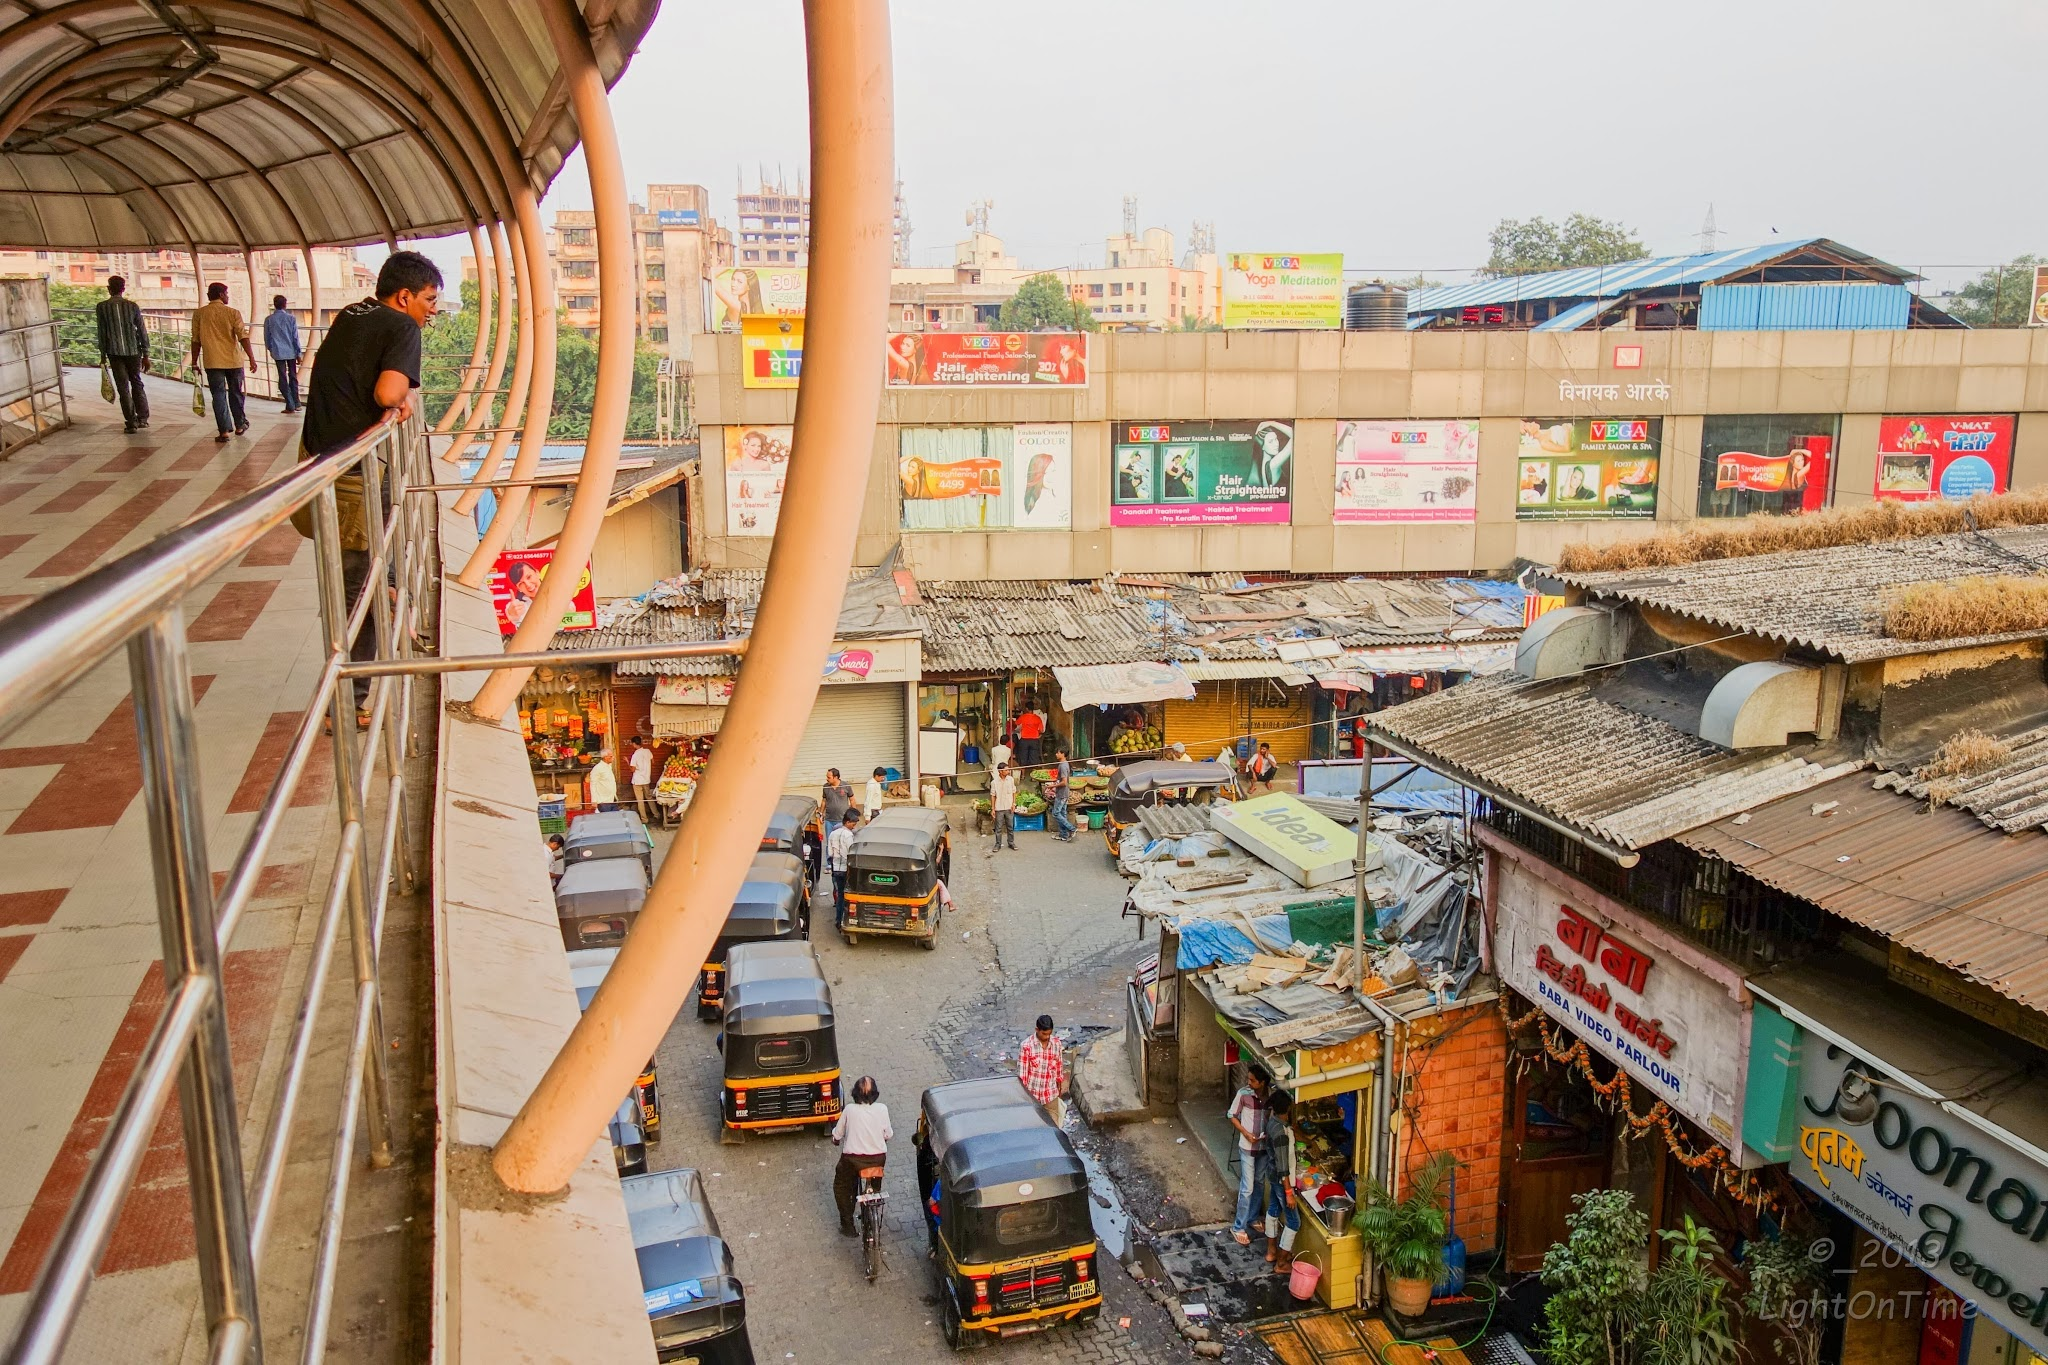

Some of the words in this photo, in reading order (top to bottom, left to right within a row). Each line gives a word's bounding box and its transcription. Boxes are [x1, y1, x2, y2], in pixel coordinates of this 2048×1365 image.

[1263, 257, 1299, 269] VEGA
[1243, 272, 1279, 291] Yoga
[1278, 271, 1340, 289] Meditation
[963, 336, 1001, 350] VEGA
[767, 348, 802, 378] वेग
[935, 359, 969, 372] Hair
[932, 369, 1033, 387] Straightening
[1552, 376, 1622, 407] विनायक
[1624, 377, 1677, 407] आरके
[1391, 431, 1428, 443] VEGA
[1590, 421, 1646, 443] VEGA
[1216, 473, 1245, 485] Hair
[1212, 483, 1289, 499] Straightening
[1245, 801, 1330, 851] !dea
[1546, 897, 1659, 998] बाबा
[1529, 937, 1617, 1019] व्हिडीओ
[1532, 975, 1576, 1020] BABA
[1572, 1003, 1616, 1049] VIDEO
[1608, 996, 1683, 1066] पार्लर
[1612, 1030, 1685, 1099] PARLOUR
[1796, 1117, 1873, 1195] पूनम
[1861, 1166, 1919, 1223] ज्वेलर्स
[1753, 1285, 1984, 1332] LightOnTime